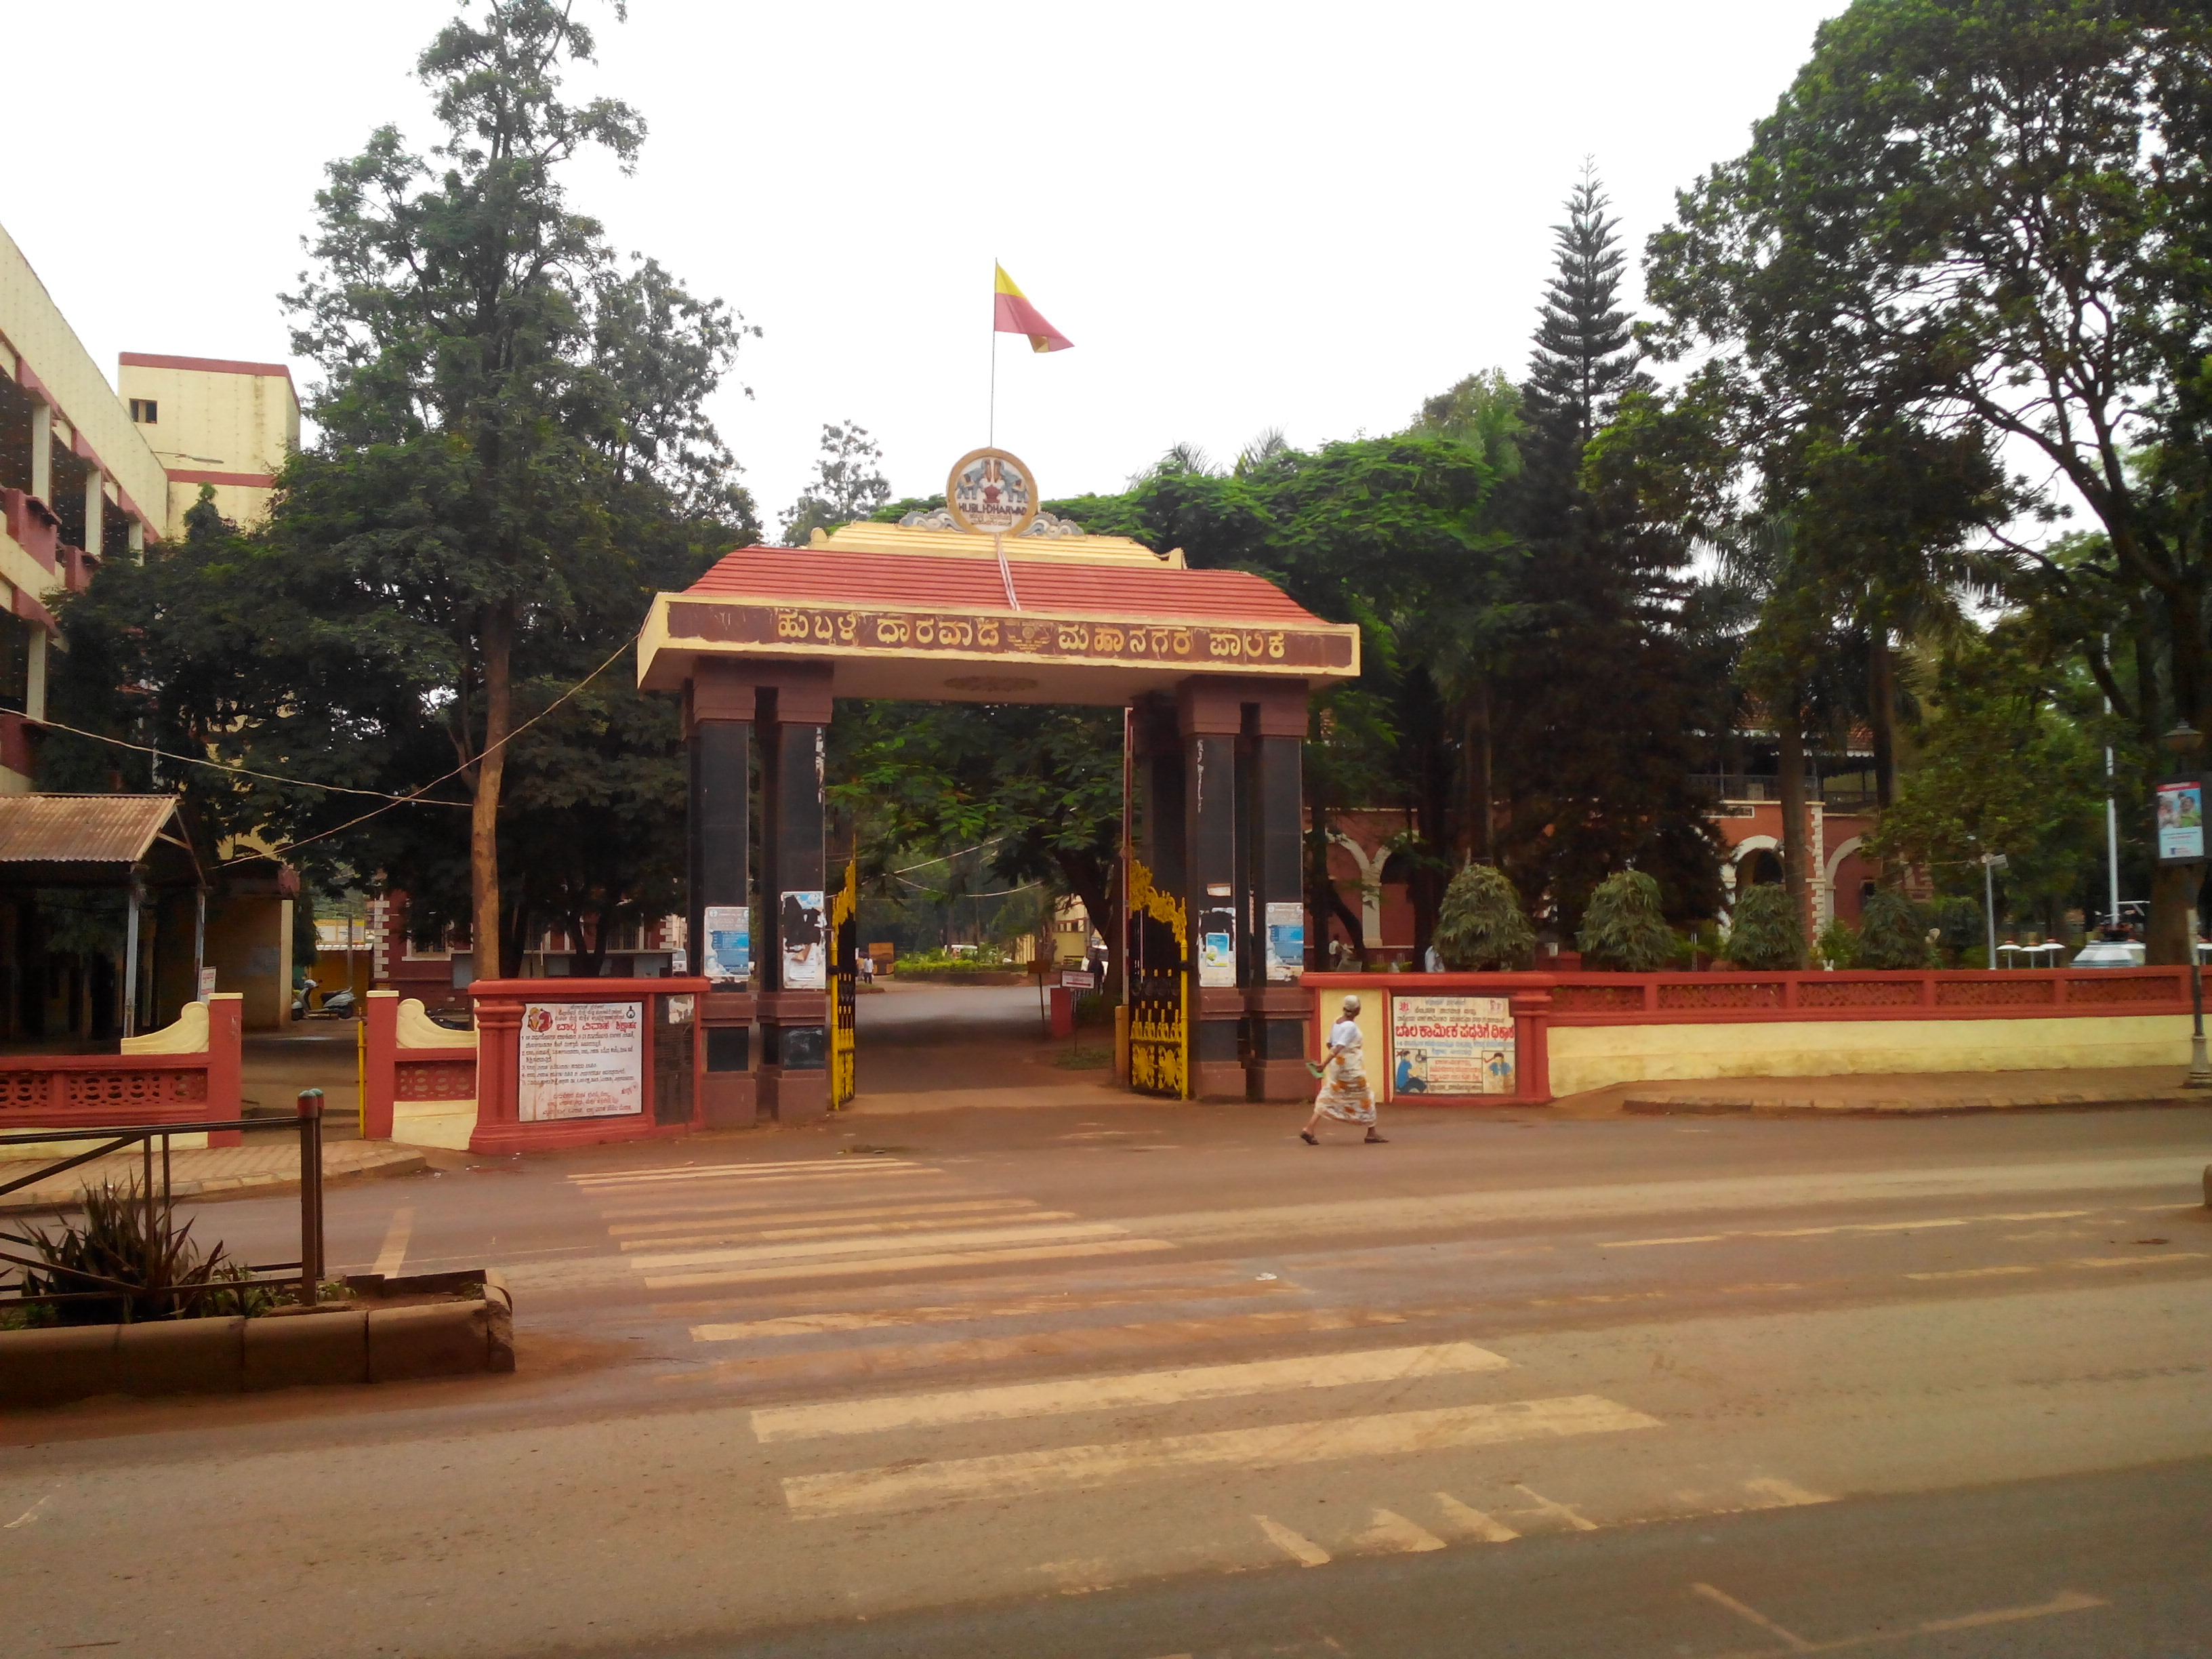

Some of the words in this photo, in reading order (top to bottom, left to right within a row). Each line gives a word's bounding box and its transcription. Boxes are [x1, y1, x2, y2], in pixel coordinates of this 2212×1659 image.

[775, 597, 864, 650] ಹುಬ್ಬಳ
[874, 607, 1006, 650] ಧಾರವಾಡ
[1052, 620, 1196, 657] ಮಹಾನಗರ
[1204, 623, 1290, 664] ಪಾಲಕ
[551, 1018, 580, 1036] ಬಾಲ
[579, 1017, 614, 1032] ವಿವಾಹ
[1394, 1019, 1462, 1040] ಬಾಲಕಾಮಿ೯ಕ
[1459, 1019, 1492, 1041] ಪದತಿಗೆ
[1487, 1019, 1517, 1042] ಧಿಕಾಕ